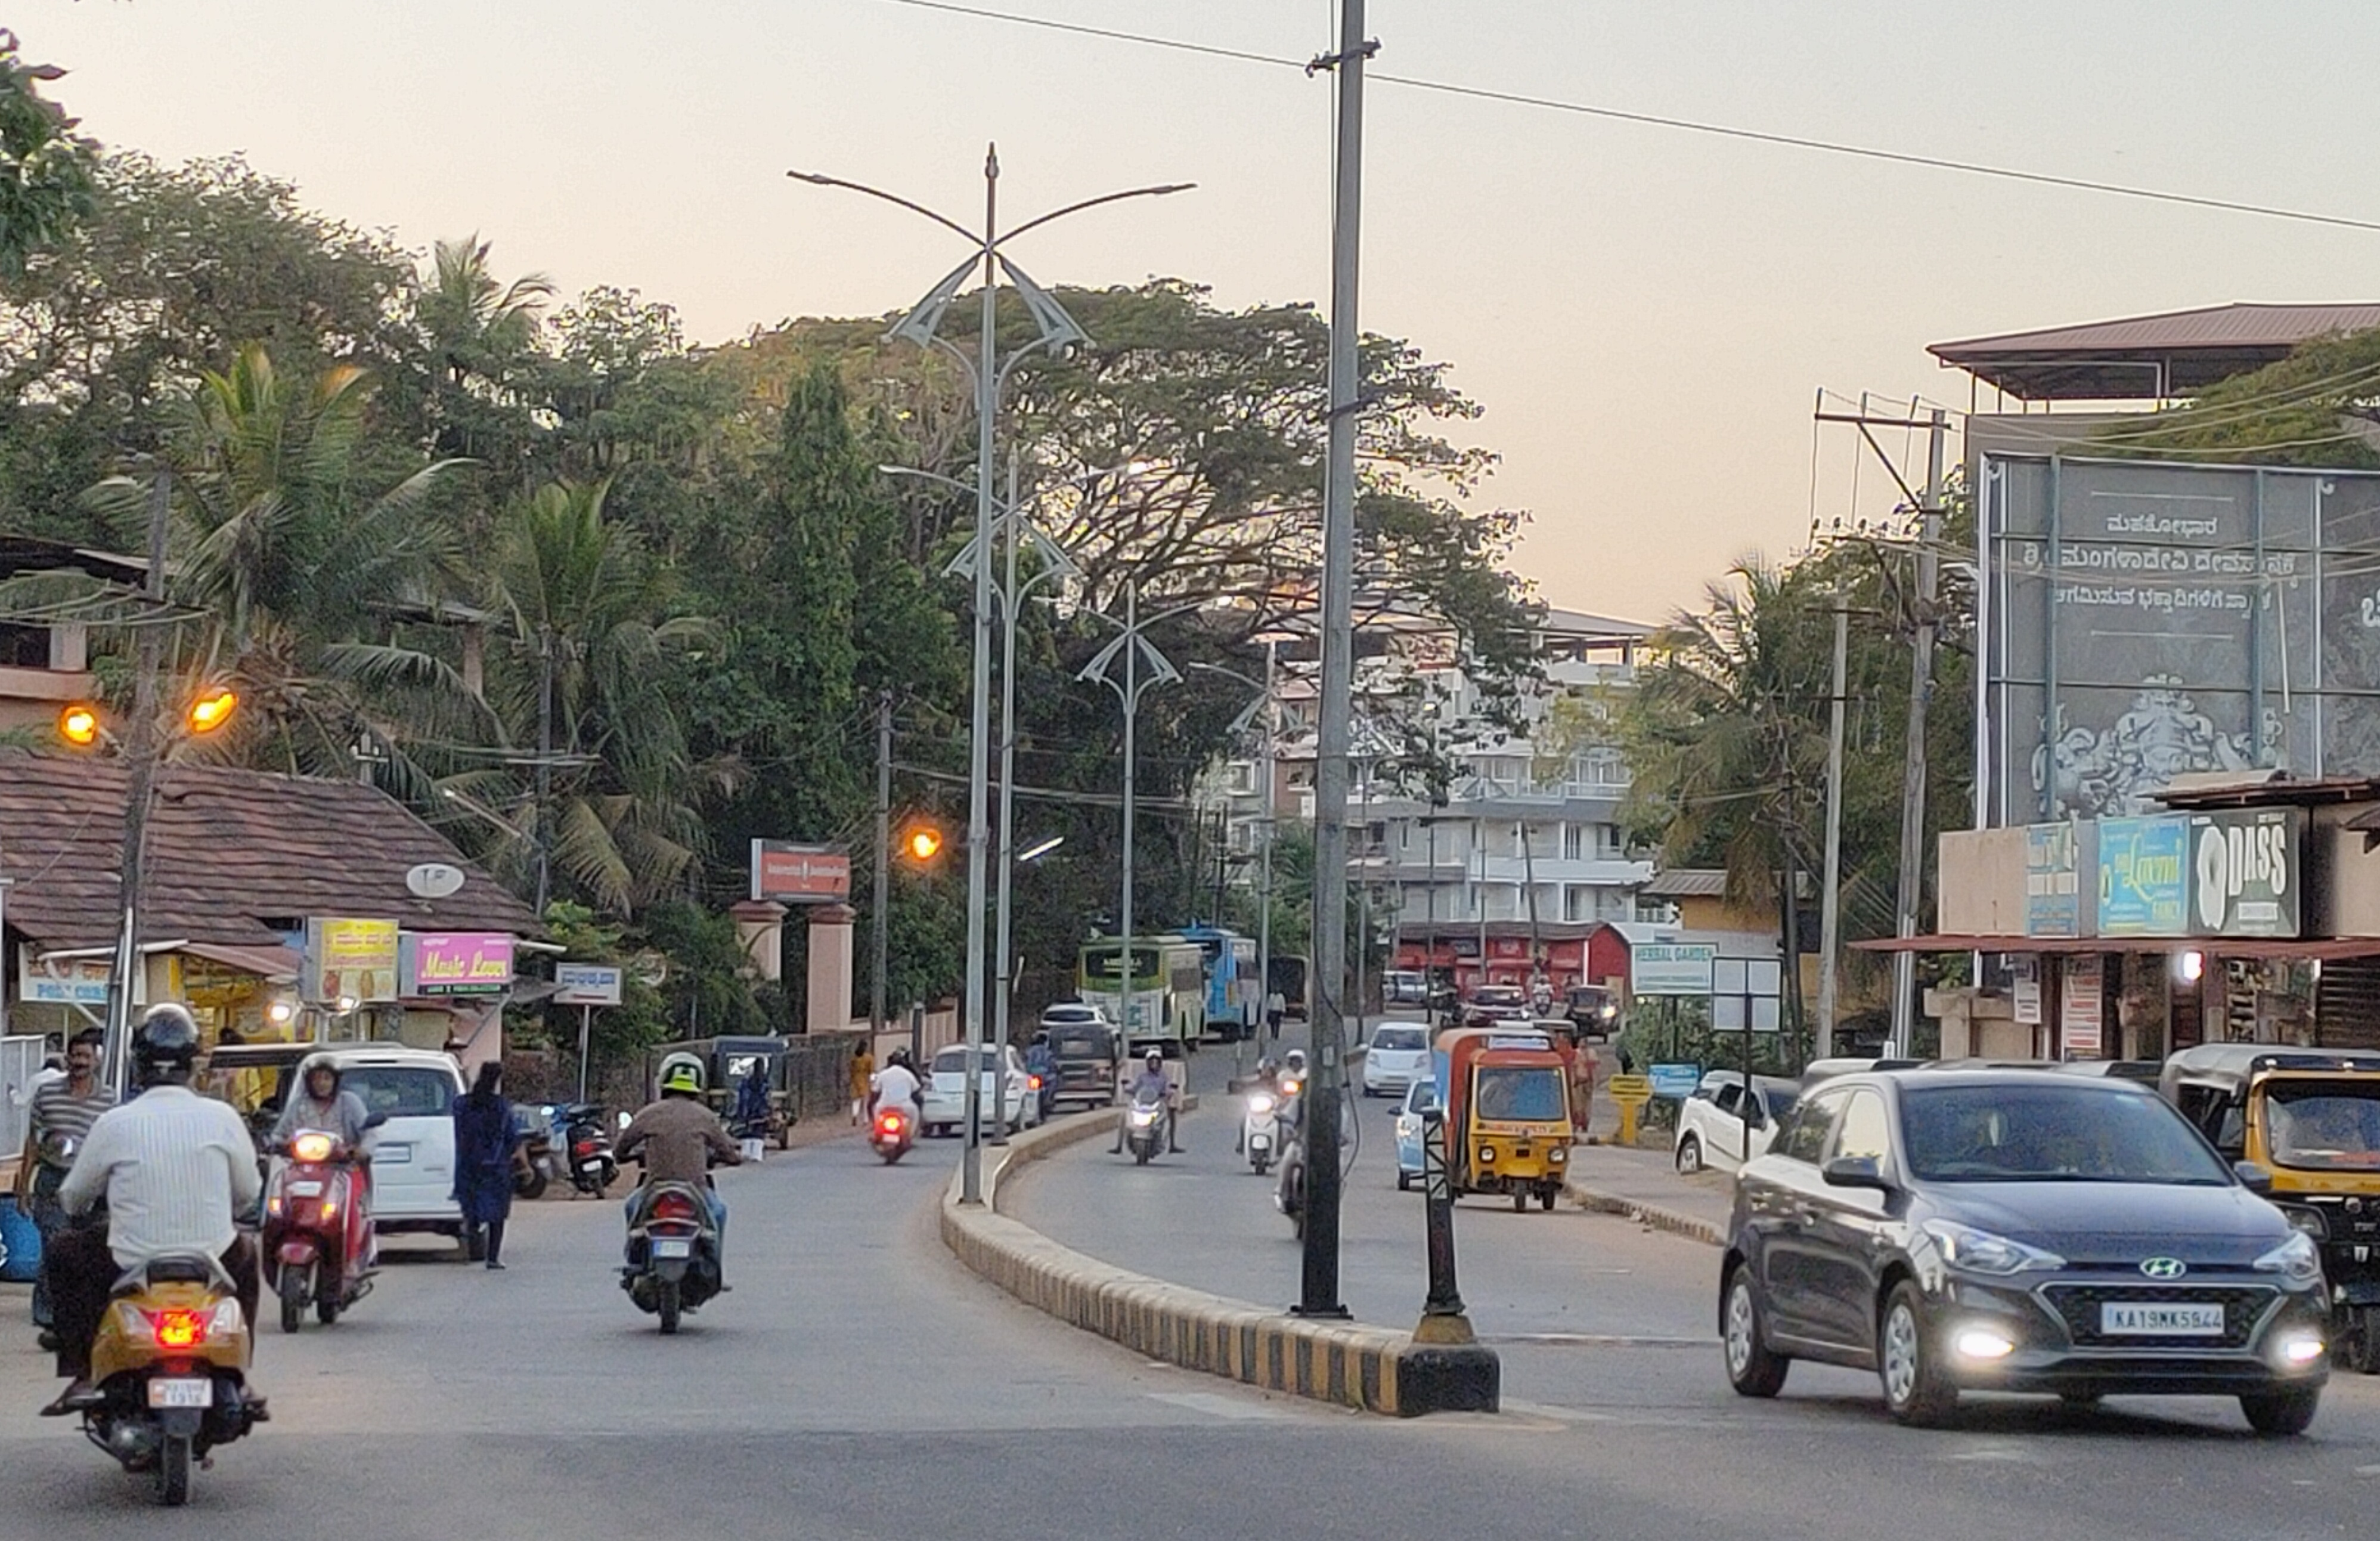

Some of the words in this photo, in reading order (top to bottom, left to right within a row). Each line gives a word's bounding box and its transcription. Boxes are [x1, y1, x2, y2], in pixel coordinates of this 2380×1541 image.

[2102, 509, 2219, 537] ಮಹತೋಭಾರ
[2022, 540, 2191, 573] ಶ್ರೀ ಮಂಗಳಾದೇವಿ
[2189, 543, 2258, 577] ದೇವಸ
[2137, 584, 2253, 617] ಭಕ್ತಾದಿಗಳಿಗೆ ಸಾ
[417, 944, 469, 982] Music
[464, 947, 512, 982] Lover
[2111, 1305, 2221, 1333] KA19NK5944